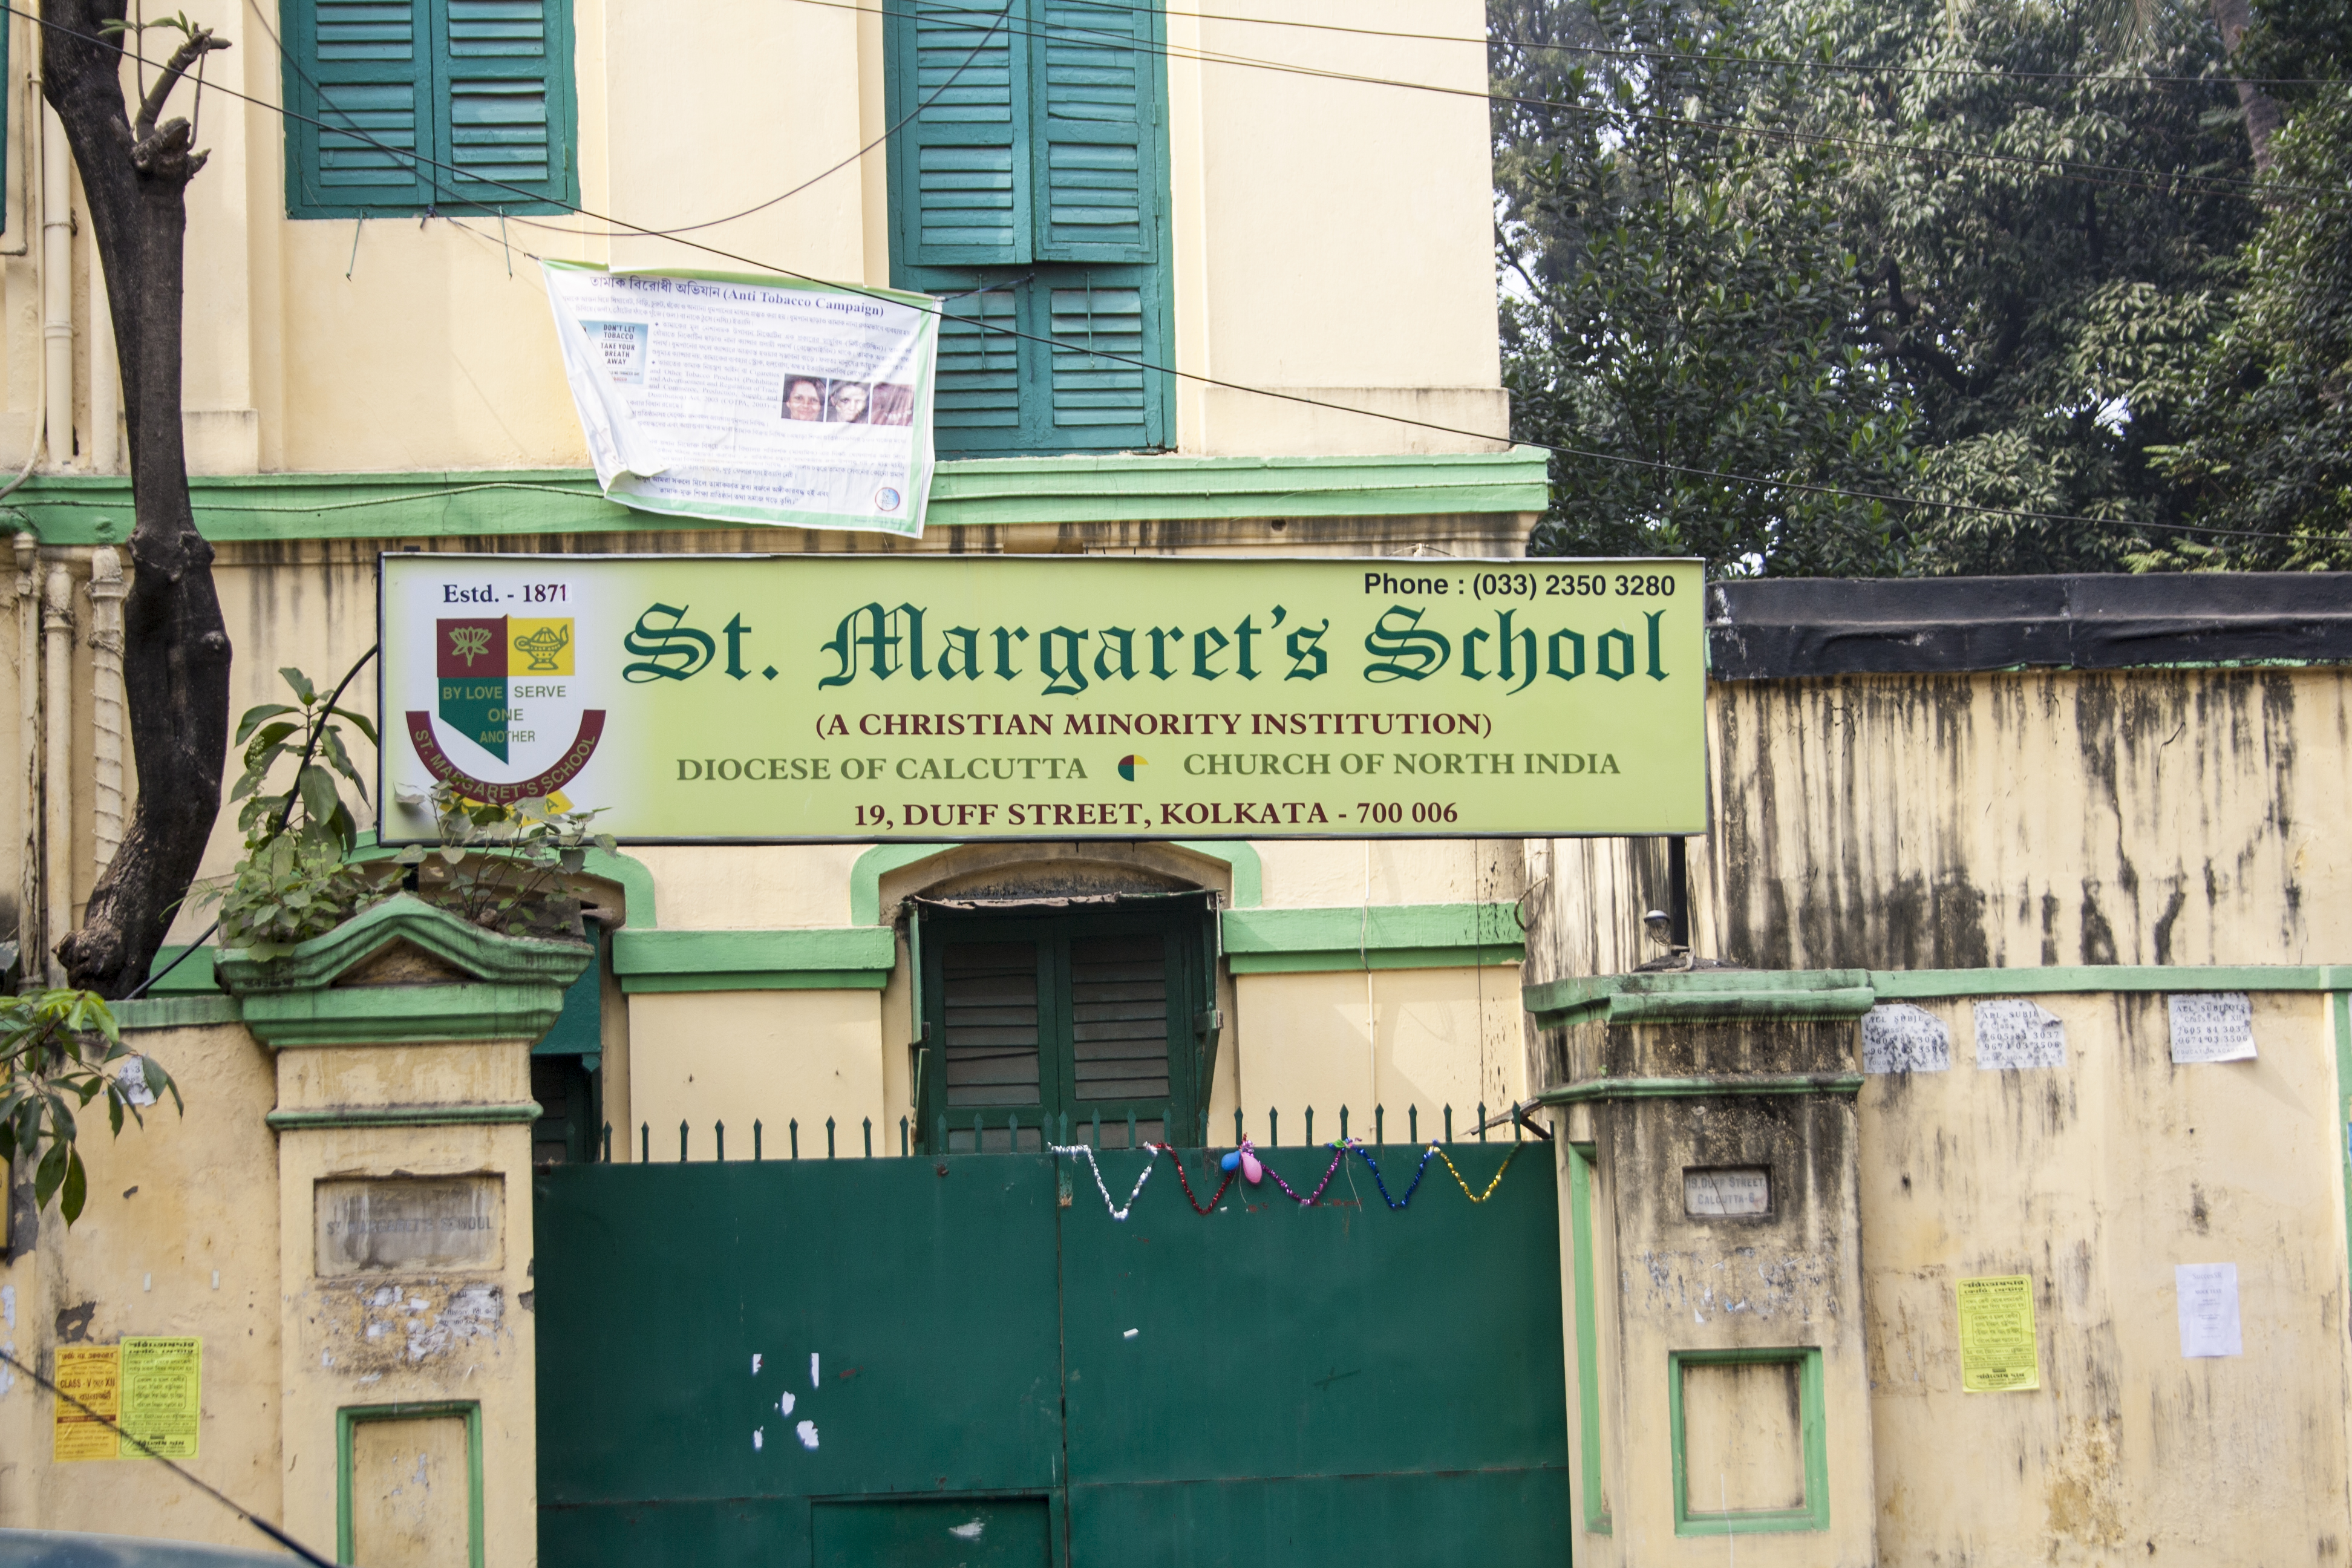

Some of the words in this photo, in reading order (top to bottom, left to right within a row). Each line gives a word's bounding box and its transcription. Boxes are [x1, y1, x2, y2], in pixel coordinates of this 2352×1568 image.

[579, 264, 633, 292] তামাক
[619, 264, 678, 293] বিরোধী
[668, 273, 725, 301] অভিযান
[720, 286, 763, 307] Anti
[756, 284, 816, 315] Tobacco
[809, 288, 885, 323] Campaign)
[598, 342, 620, 351] TAKE
[598, 319, 627, 336] DON
[602, 347, 632, 359] BREATH
[606, 356, 628, 366] AWAY
[601, 328, 636, 342] TOBACCO
[618, 341, 638, 353] YOUR
[621, 322, 639, 334] LET
[437, 577, 501, 609] Estd.
[520, 577, 573, 606] 1871
[1361, 569, 1451, 601] Phone
[1462, 563, 1679, 607] (033)23503280
[614, 598, 783, 686] St.
[812, 595, 1333, 699] Margaret
[1359, 592, 1673, 705] School
[439, 683, 463, 705] BY
[463, 684, 506, 703] LOVE
[508, 680, 569, 704] SERVE
[409, 728, 437, 763] ST.
[425, 751, 540, 803] MARGARET'S
[485, 702, 527, 727] ONE
[474, 728, 538, 746] ANOTHER
[538, 731, 601, 794] SCHOOL
[671, 753, 837, 786] DIOCESE
[817, 712, 854, 742] (A
[838, 754, 886, 786] OF
[848, 704, 1059, 743] CHRISTIAN
[895, 752, 1092, 783] CALCUTTA
[1052, 704, 1244, 742] MINORITY
[1171, 749, 1335, 780] CHURCH
[1334, 743, 1386, 780] OF
[1246, 705, 1491, 742] INSTITUTION
[1388, 745, 1519, 785] NORTH
[1520, 745, 1624, 782] INDIA
[848, 795, 895, 833] 19,
[889, 788, 1001, 835] DUFF
[998, 798, 1150, 831] STREET
[1152, 799, 1331, 829] KOLKATA
[1351, 786, 1462, 829] 700006